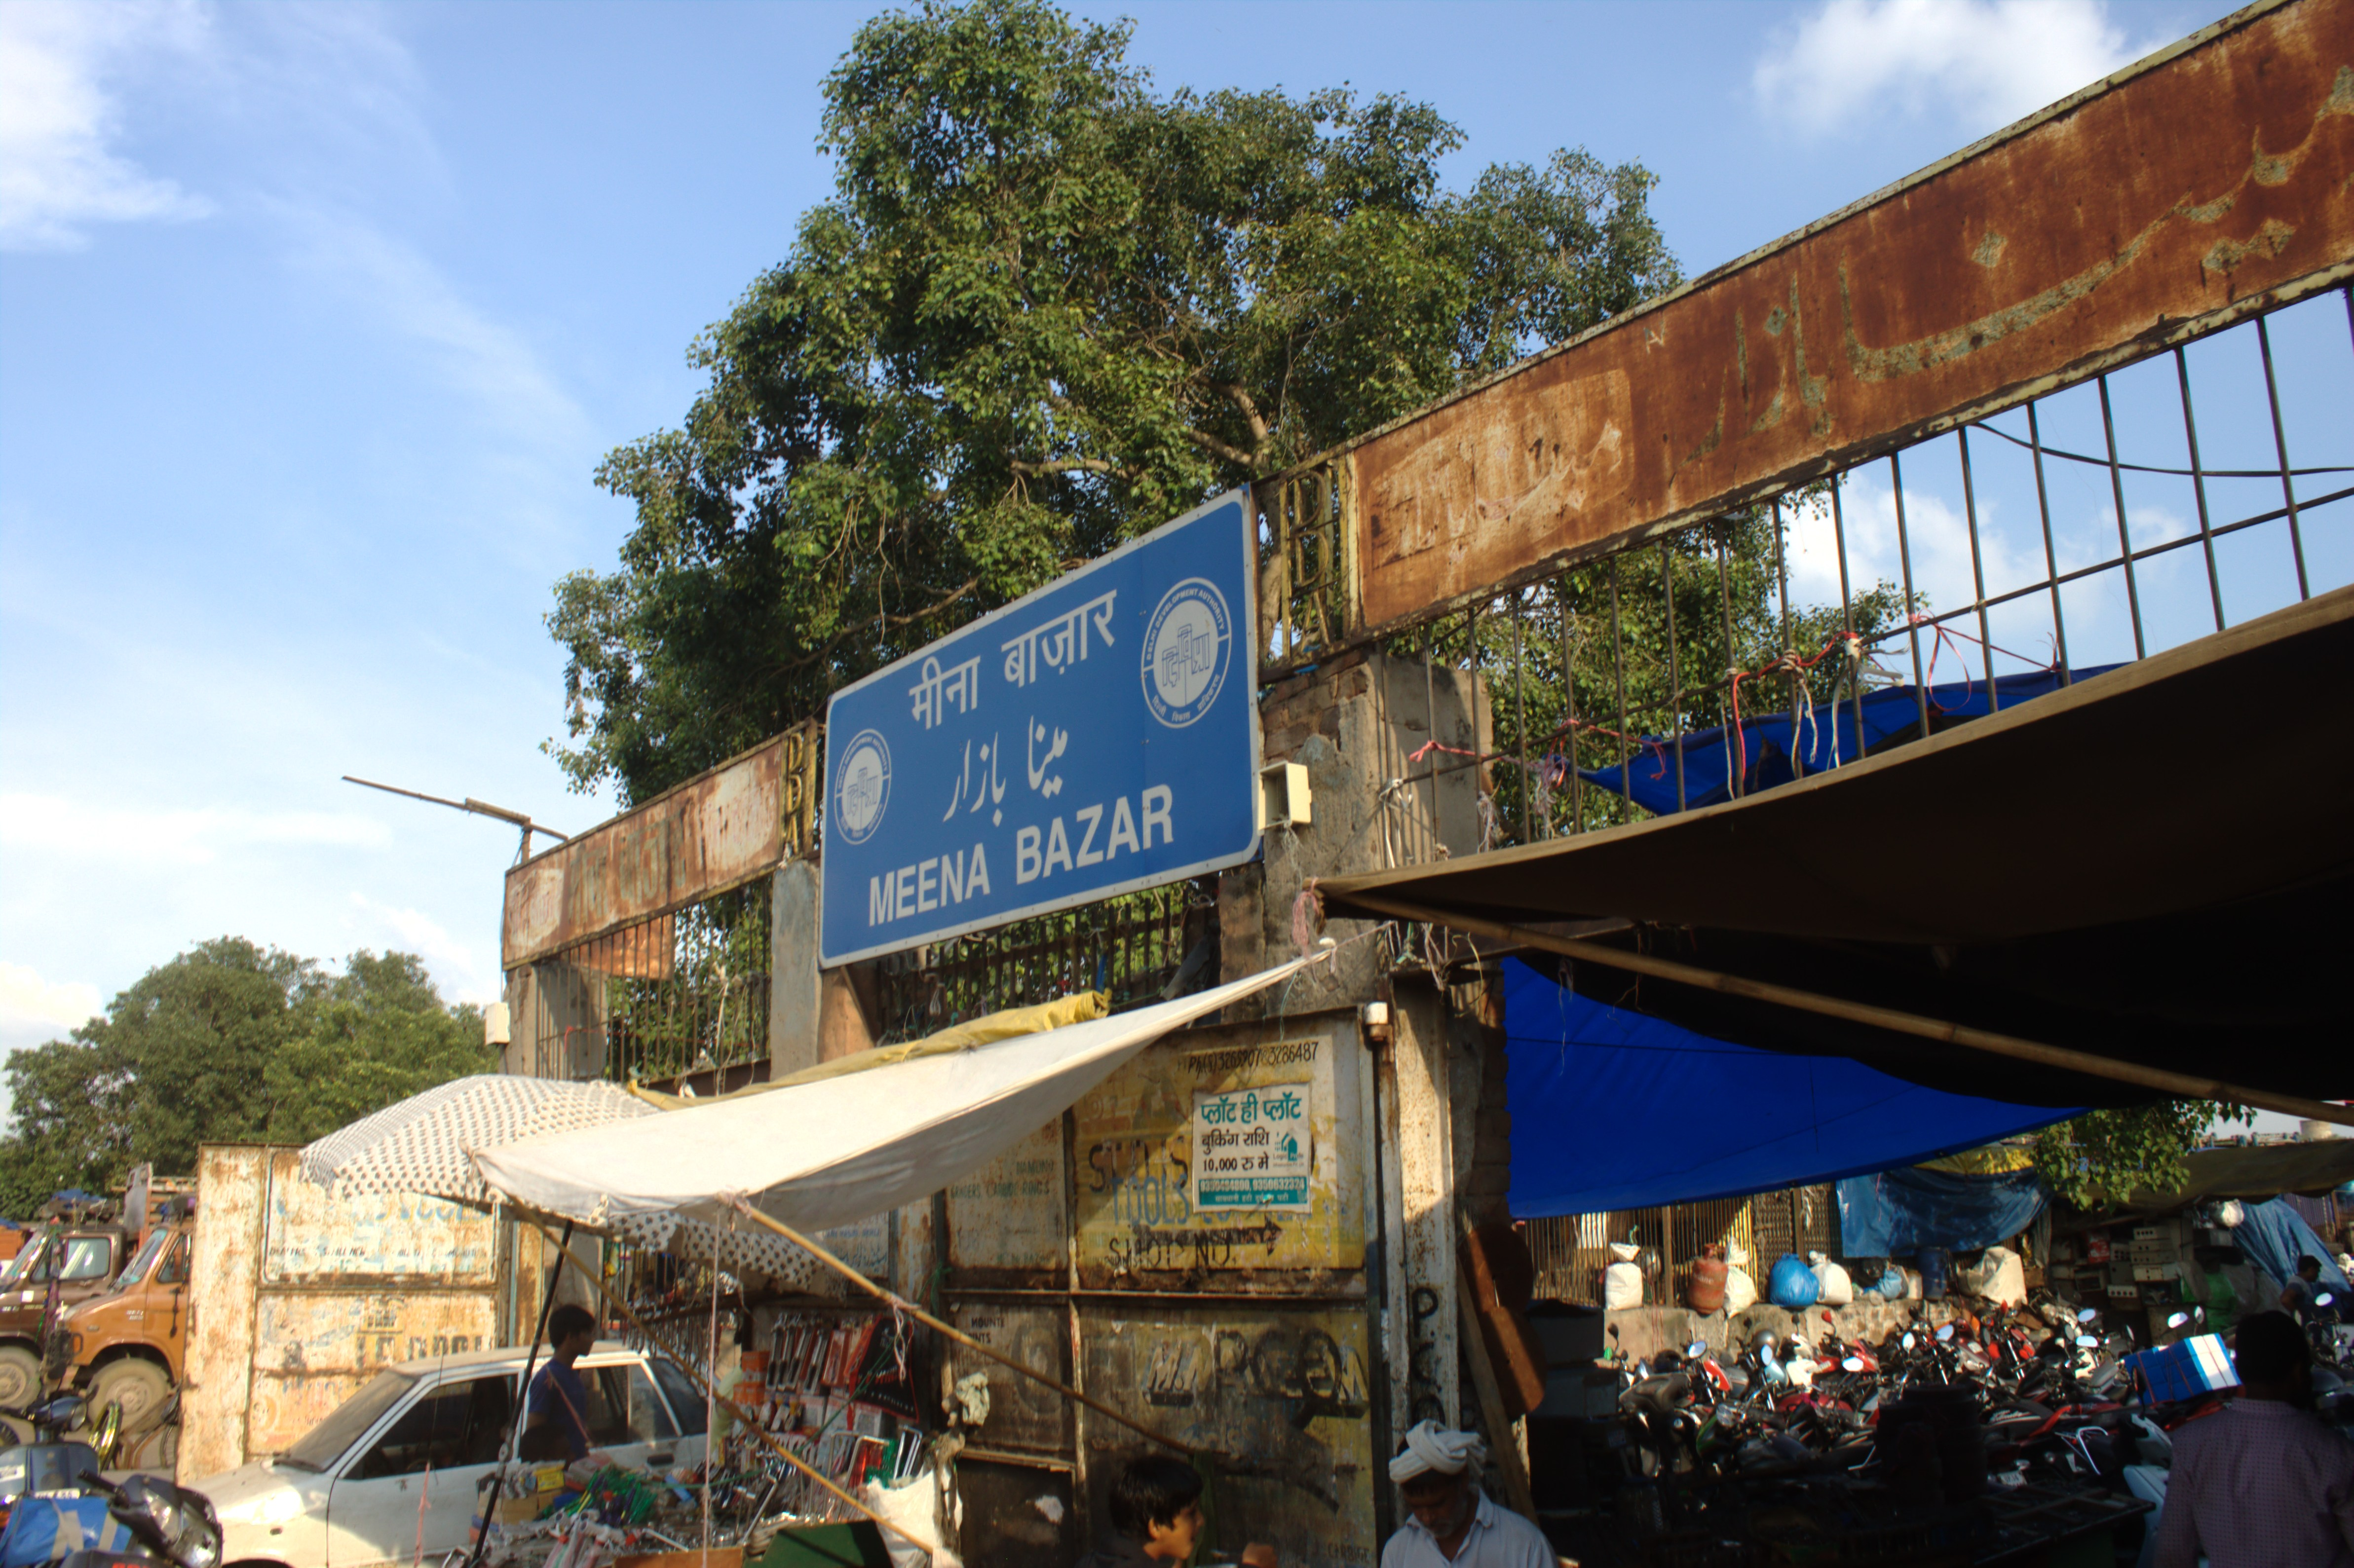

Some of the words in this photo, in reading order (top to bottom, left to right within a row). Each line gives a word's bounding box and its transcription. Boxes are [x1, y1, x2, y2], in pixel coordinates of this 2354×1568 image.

[999, 587, 1118, 688] बाज़ार
[906, 654, 982, 732] मीना
[1015, 782, 1177, 889] BAZAR
[867, 840, 992, 929] MEENA
[1199, 1094, 1239, 1127] प्लॉट
[1239, 1089, 1259, 1125] ह‌ी
[1262, 1089, 1304, 1123] प्लॉट
[1201, 1126, 1241, 1157] बुकिंग
[1241, 1124, 1271, 1148] राशि
[1203, 1157, 1240, 1173] 10,000
[1240, 1156, 1256, 1170] रु
[1256, 1149, 1271, 1171] मे
[1199, 1178, 1252, 1194] 9350484800.
[1252, 1176, 1307, 1192] 9350632324